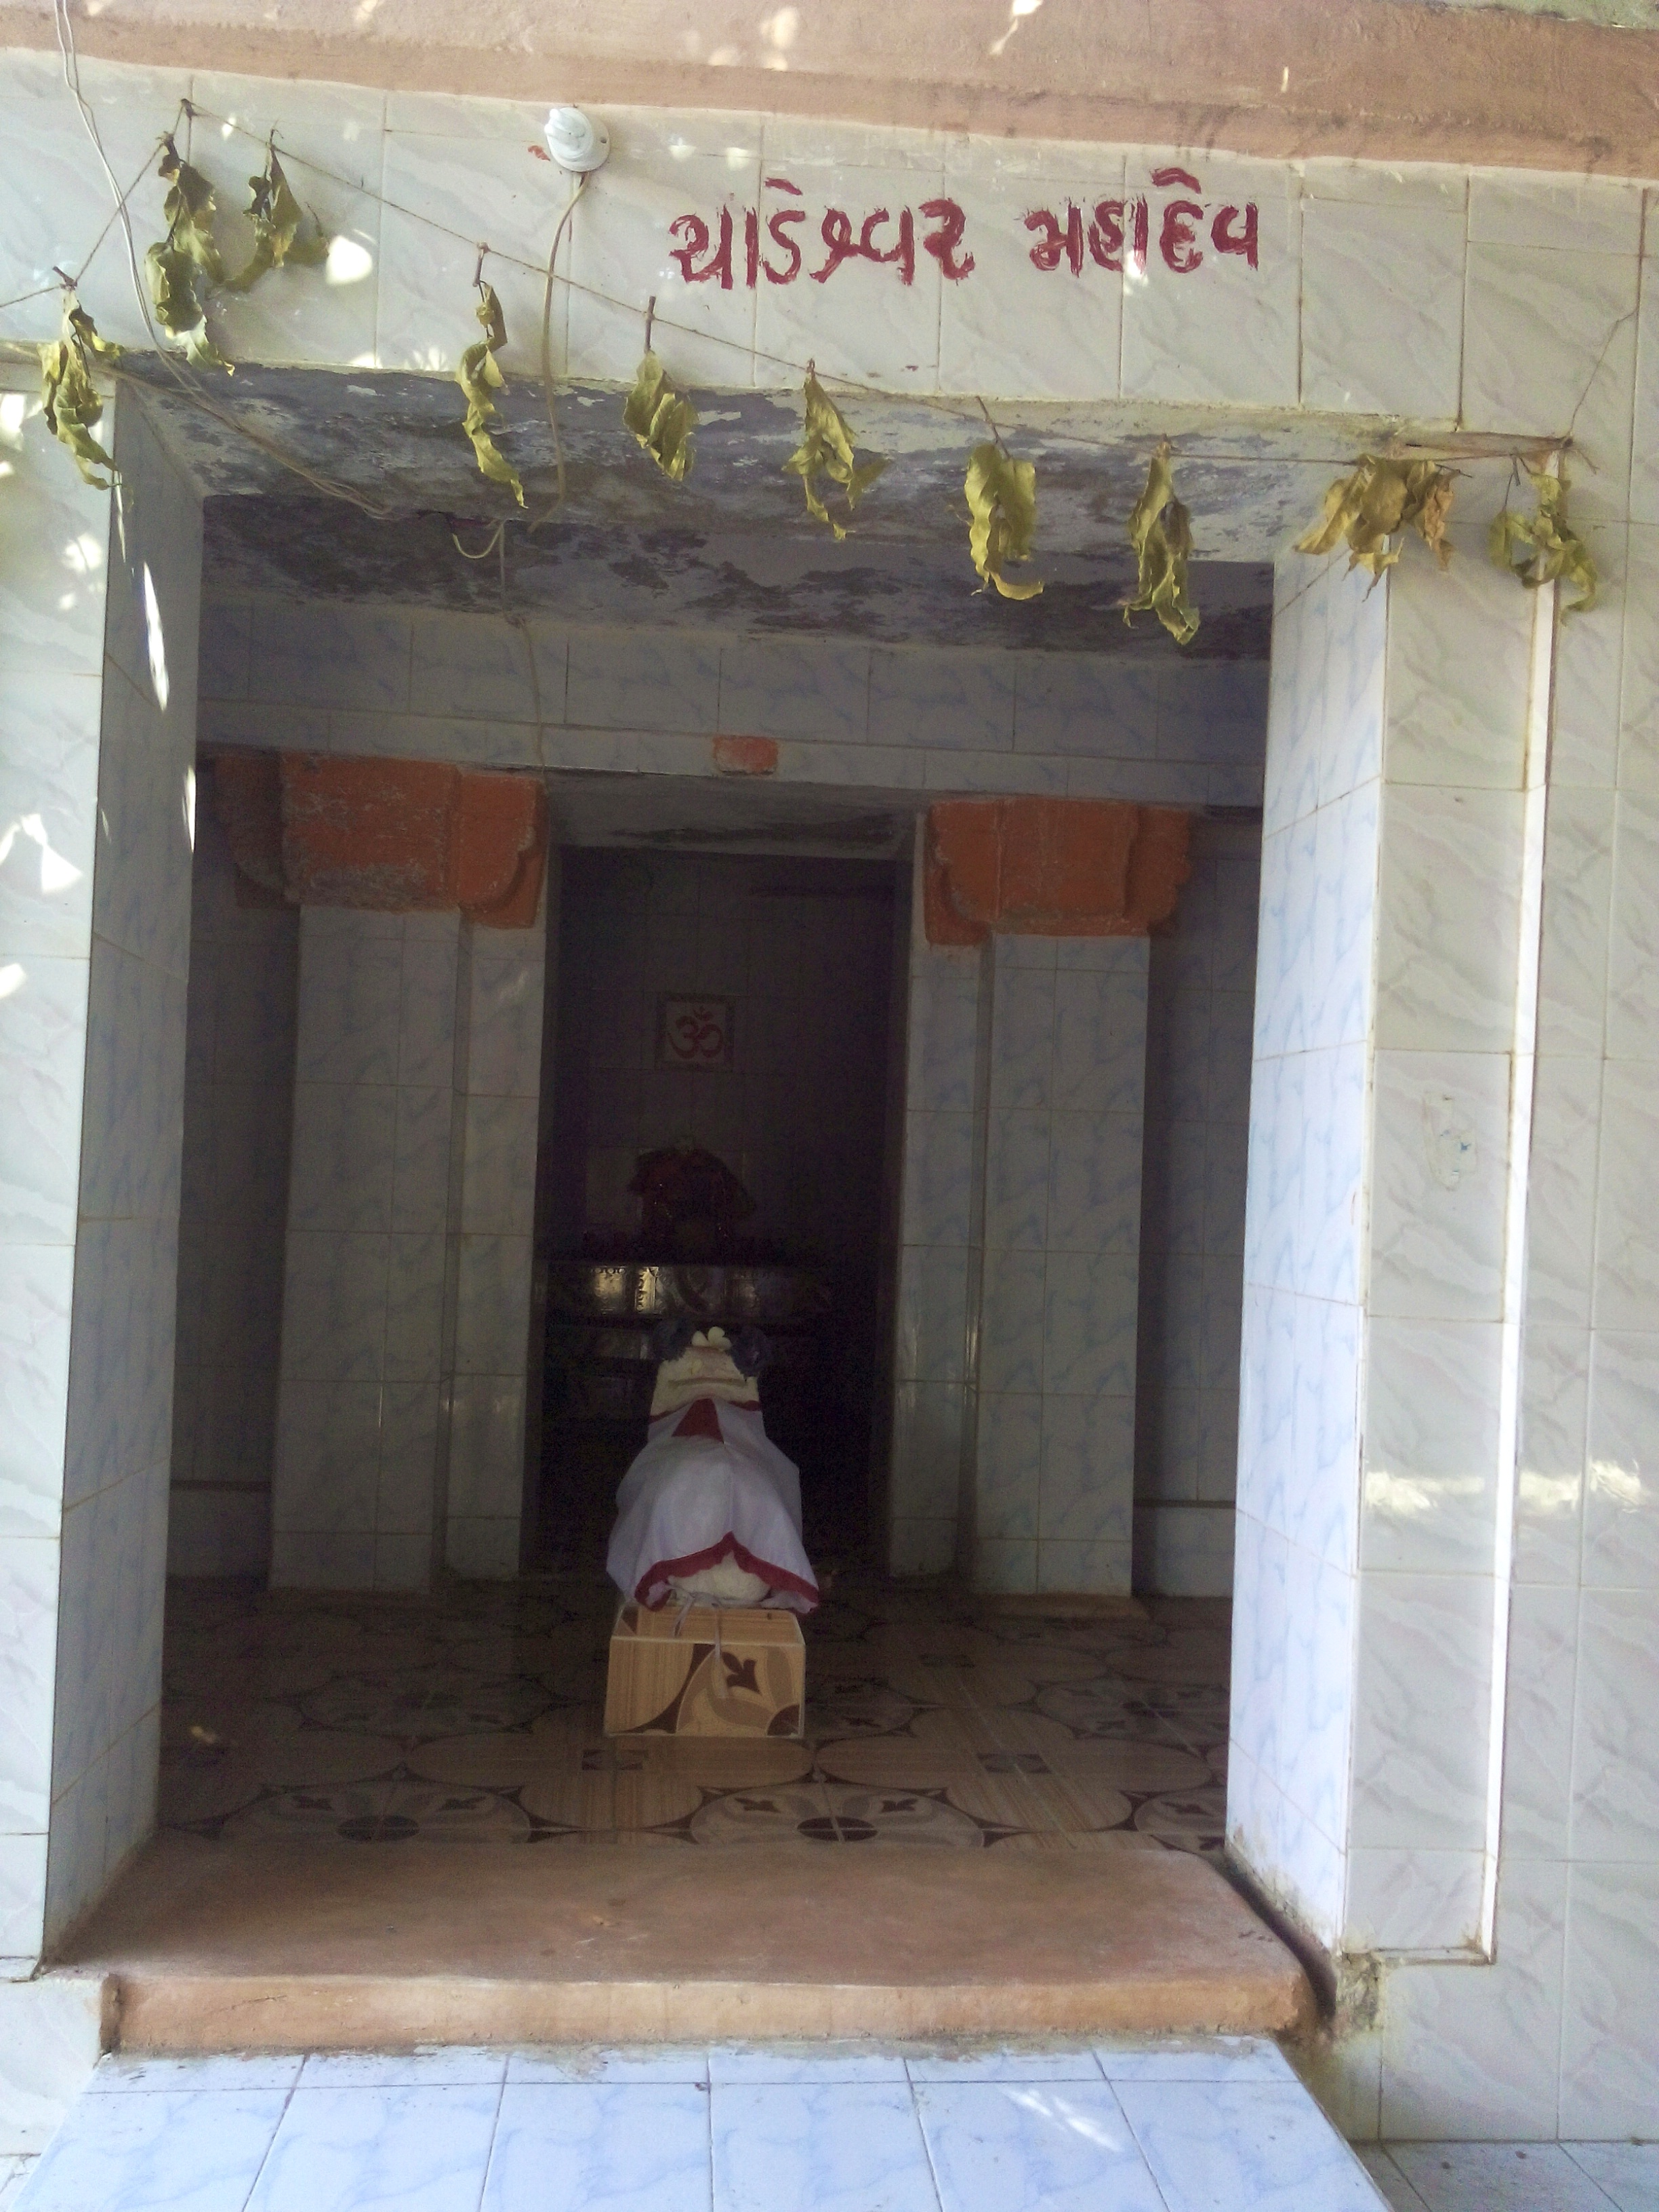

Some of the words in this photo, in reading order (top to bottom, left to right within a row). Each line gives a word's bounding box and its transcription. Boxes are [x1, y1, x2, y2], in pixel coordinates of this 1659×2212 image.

[649, 169, 984, 305] ચાડેશ્વર
[1008, 148, 1286, 290] મહાદેવ
[660, 1000, 729, 1067] ॐ